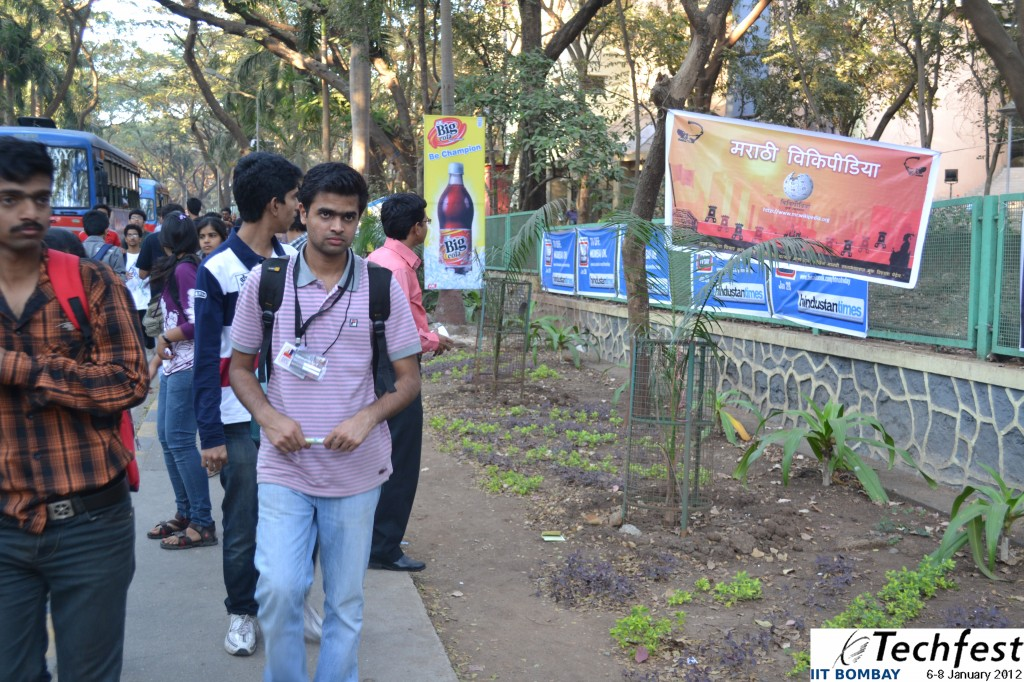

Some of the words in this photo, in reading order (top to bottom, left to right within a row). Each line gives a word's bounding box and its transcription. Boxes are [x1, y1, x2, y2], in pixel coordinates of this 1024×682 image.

[432, 117, 463, 144] Big
[425, 149, 443, 165] Be
[437, 139, 484, 162] Champion
[726, 135, 778, 165] मराठी
[781, 141, 885, 182] विकिपीडिया
[706, 283, 765, 304] Hindustantimes
[795, 293, 864, 321] hindustantimes
[873, 623, 1023, 670] Techfest
[807, 663, 833, 681] IIT
[834, 664, 903, 681] BOMBAY
[923, 665, 1024, 681] 6-8January2012